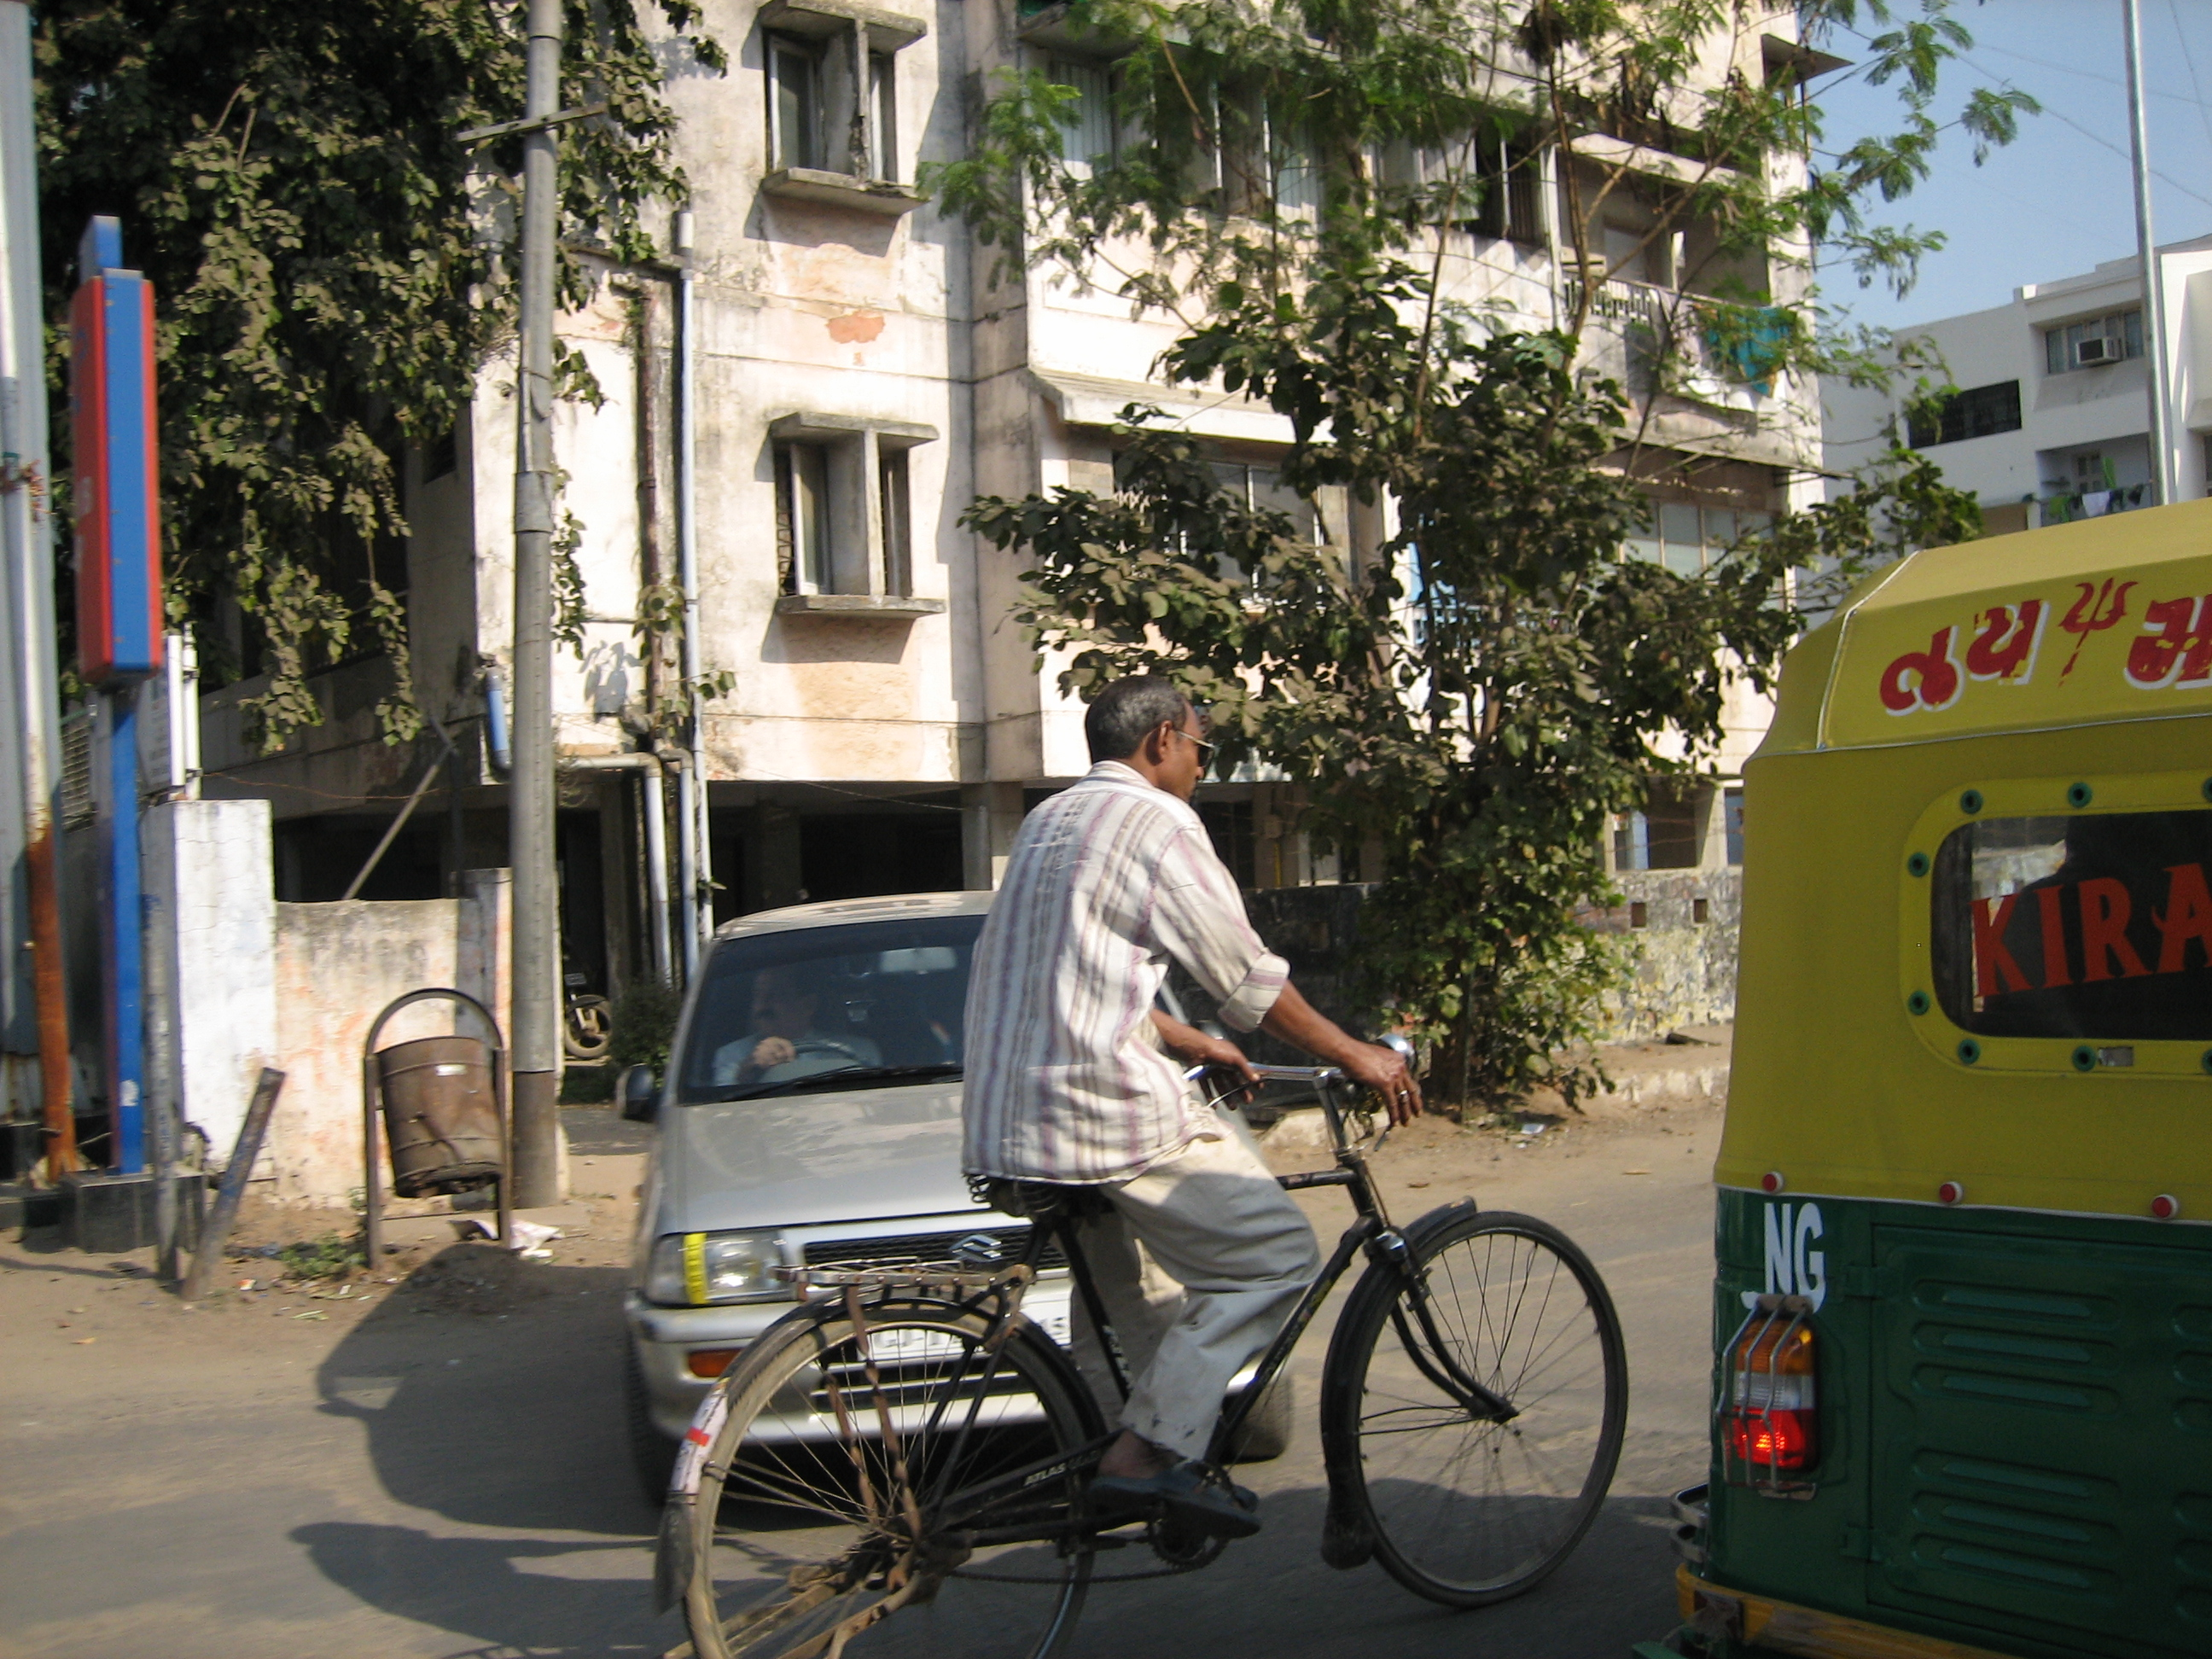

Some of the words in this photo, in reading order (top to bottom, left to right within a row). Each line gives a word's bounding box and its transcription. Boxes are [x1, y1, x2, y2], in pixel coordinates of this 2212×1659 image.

[1755, 1195, 1835, 1307] NG